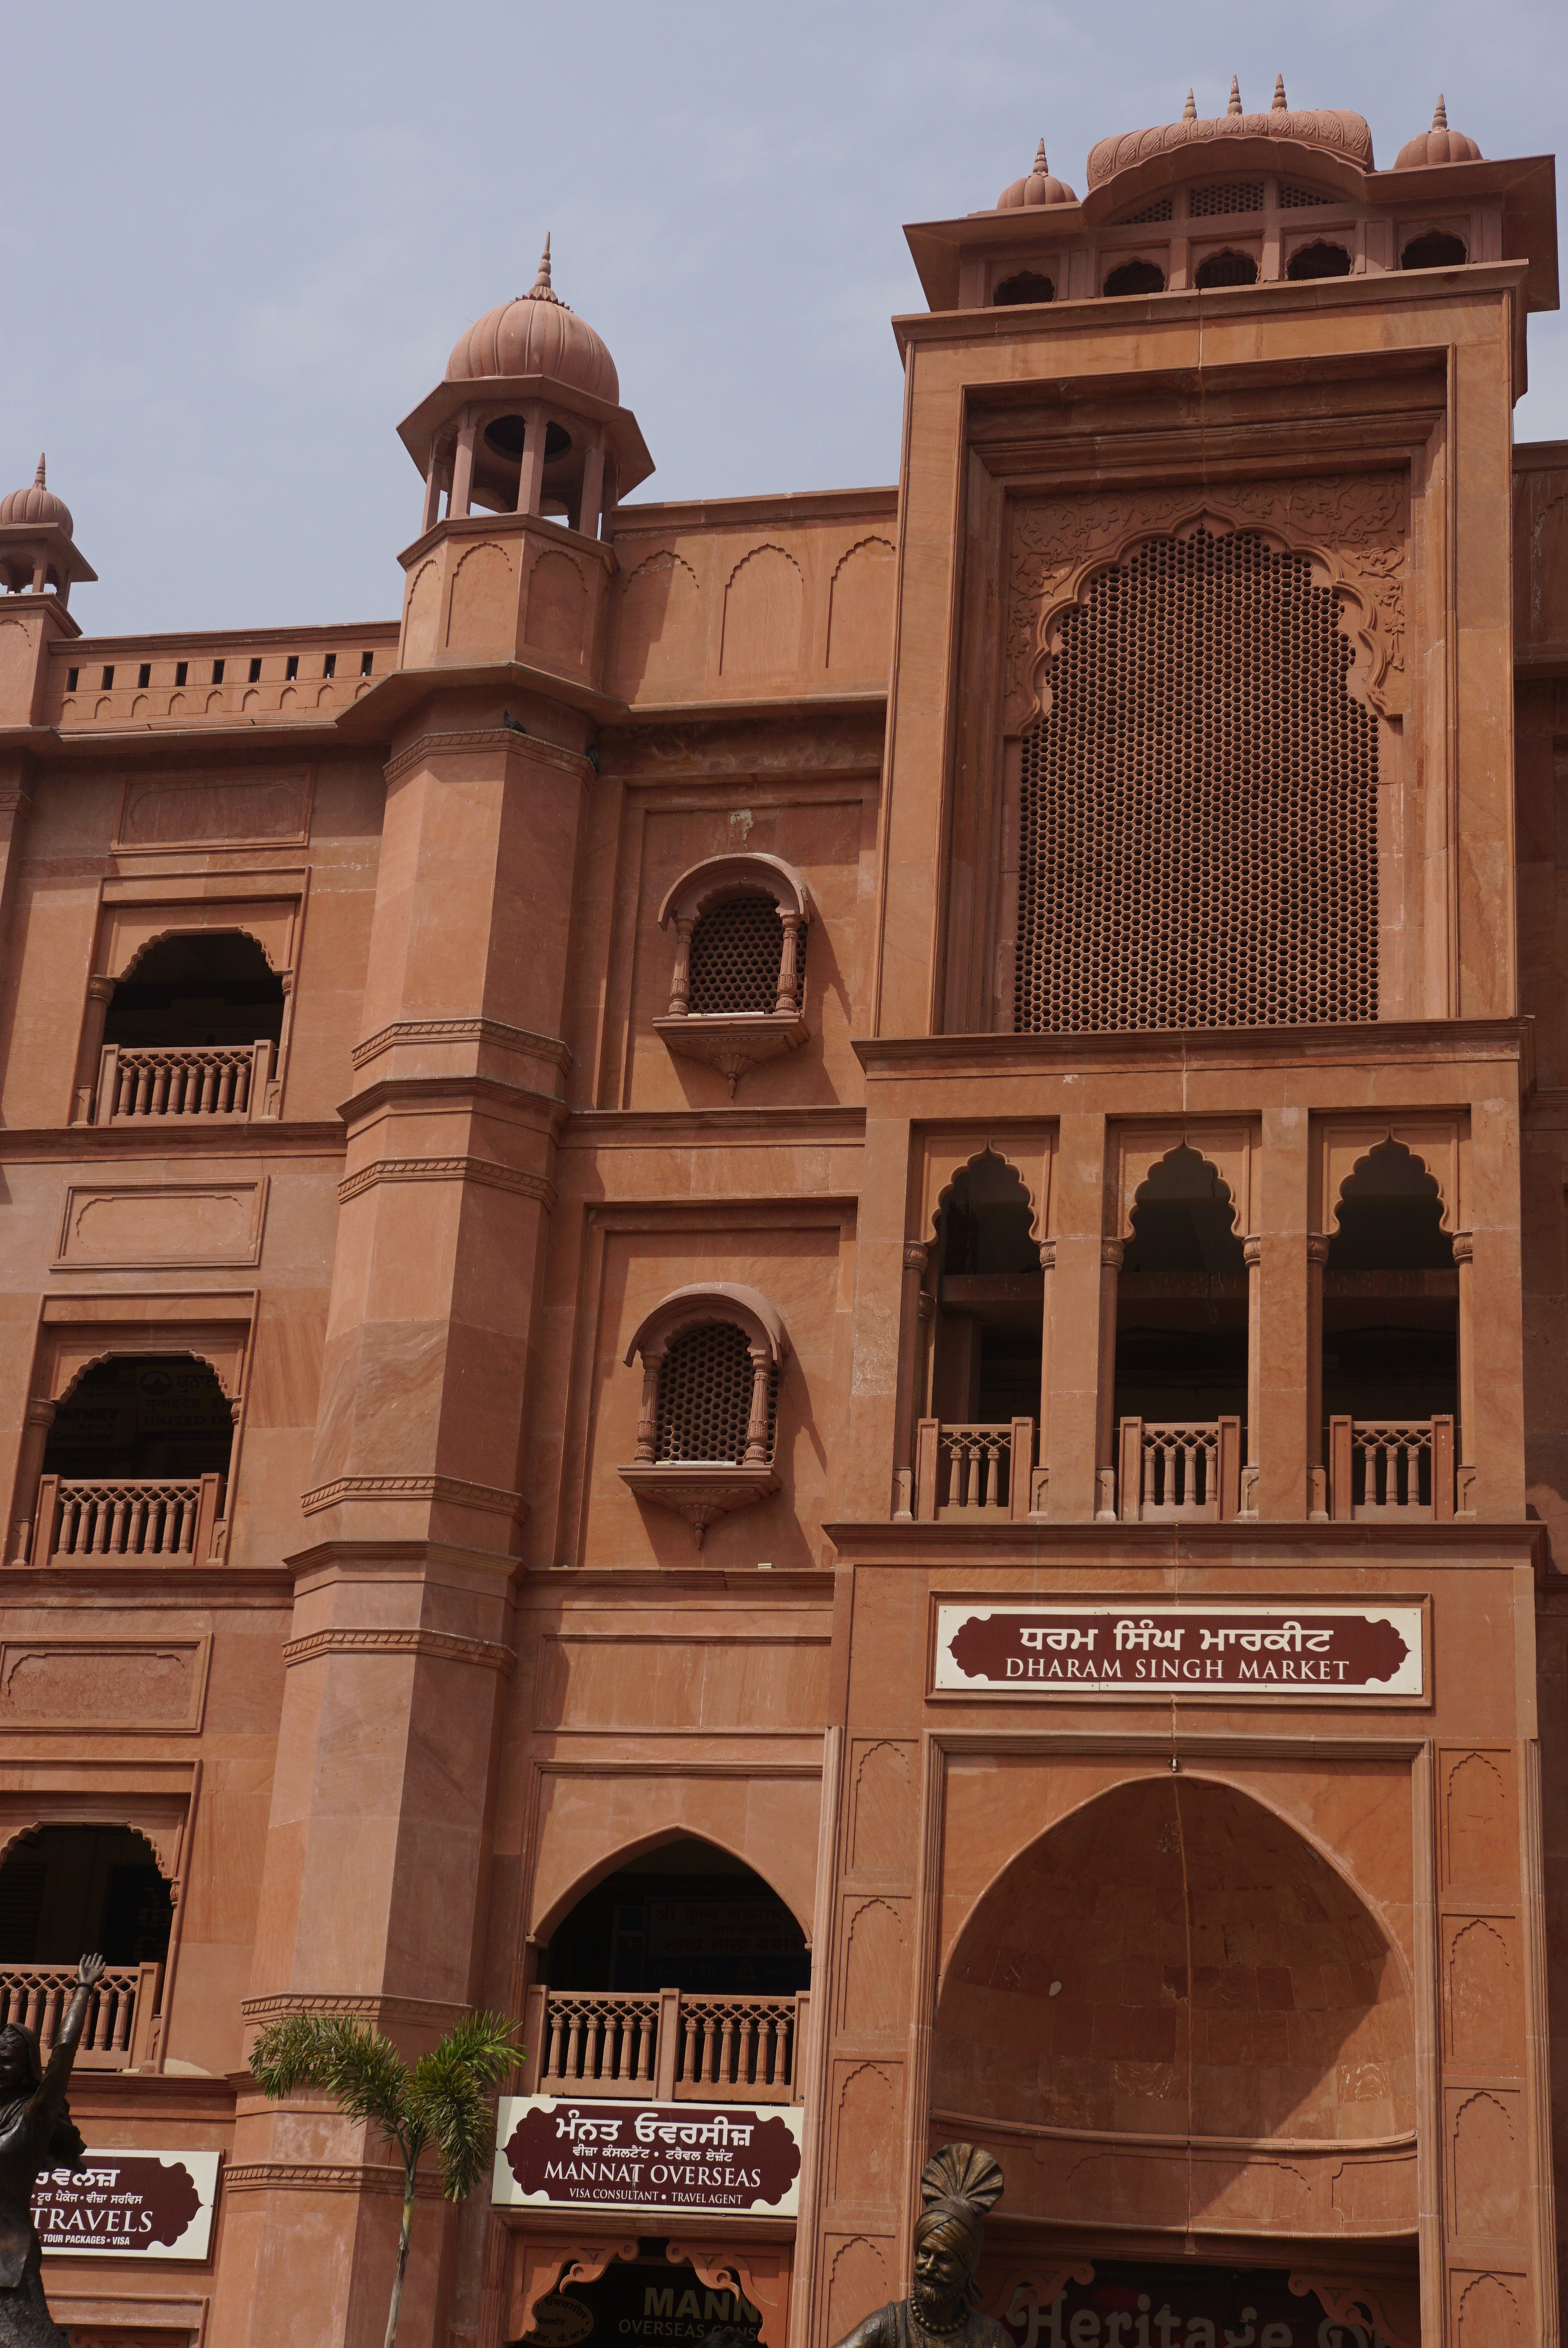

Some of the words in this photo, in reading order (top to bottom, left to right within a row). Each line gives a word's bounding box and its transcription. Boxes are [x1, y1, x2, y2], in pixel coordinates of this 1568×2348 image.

[1013, 1623, 1101, 1656] ਧਰਮ
[1109, 1616, 1192, 1655] ਸਿੰਘ
[1195, 1618, 1342, 1657] ਮਾਰਕੀਟ
[1001, 1651, 1126, 1681] DHARAM
[1131, 1655, 1226, 1681] SINGH
[1235, 1656, 1353, 1685] MARKET
[551, 2107, 627, 2144] ਮੰਨਤ
[626, 2109, 760, 2149] ਓਵਰਸੀਜ਼
[568, 2142, 599, 2158] ਵੀਜ਼ਾ
[599, 2143, 652, 2161] ਕੰਸਲਟੈਂਟ
[662, 2145, 703, 2163] ਟਰੈਵਲ
[702, 2147, 737, 2164] ਏਜ਼ੰਟ
[71, 2163, 122, 2189] ਲਜ਼
[540, 2156, 648, 2187] MANNAT
[648, 2162, 767, 2189] OVERSEAS
[33, 2190, 55, 2207] ਟੂਰ
[53, 2188, 80, 2205] ਪੈਕੇਜ
[84, 2190, 110, 2206] ਵੀਜ਼ਾ
[109, 2190, 144, 2207] ਸਰਵਿਸ
[566, 2186, 592, 2200] VISA
[590, 2187, 660, 2203] CONSULTANT
[669, 2191, 709, 2205] TRAVEL
[706, 2192, 745, 2207] AGENT
[29, 2206, 157, 2234] TRAVELS
[42, 2233, 64, 2245] TOUR
[64, 2232, 106, 2246] PACKAGES
[111, 2234, 133, 2248] VISA
[639, 2284, 731, 2324] MAN
[614, 2314, 708, 2343] OVERSEAS